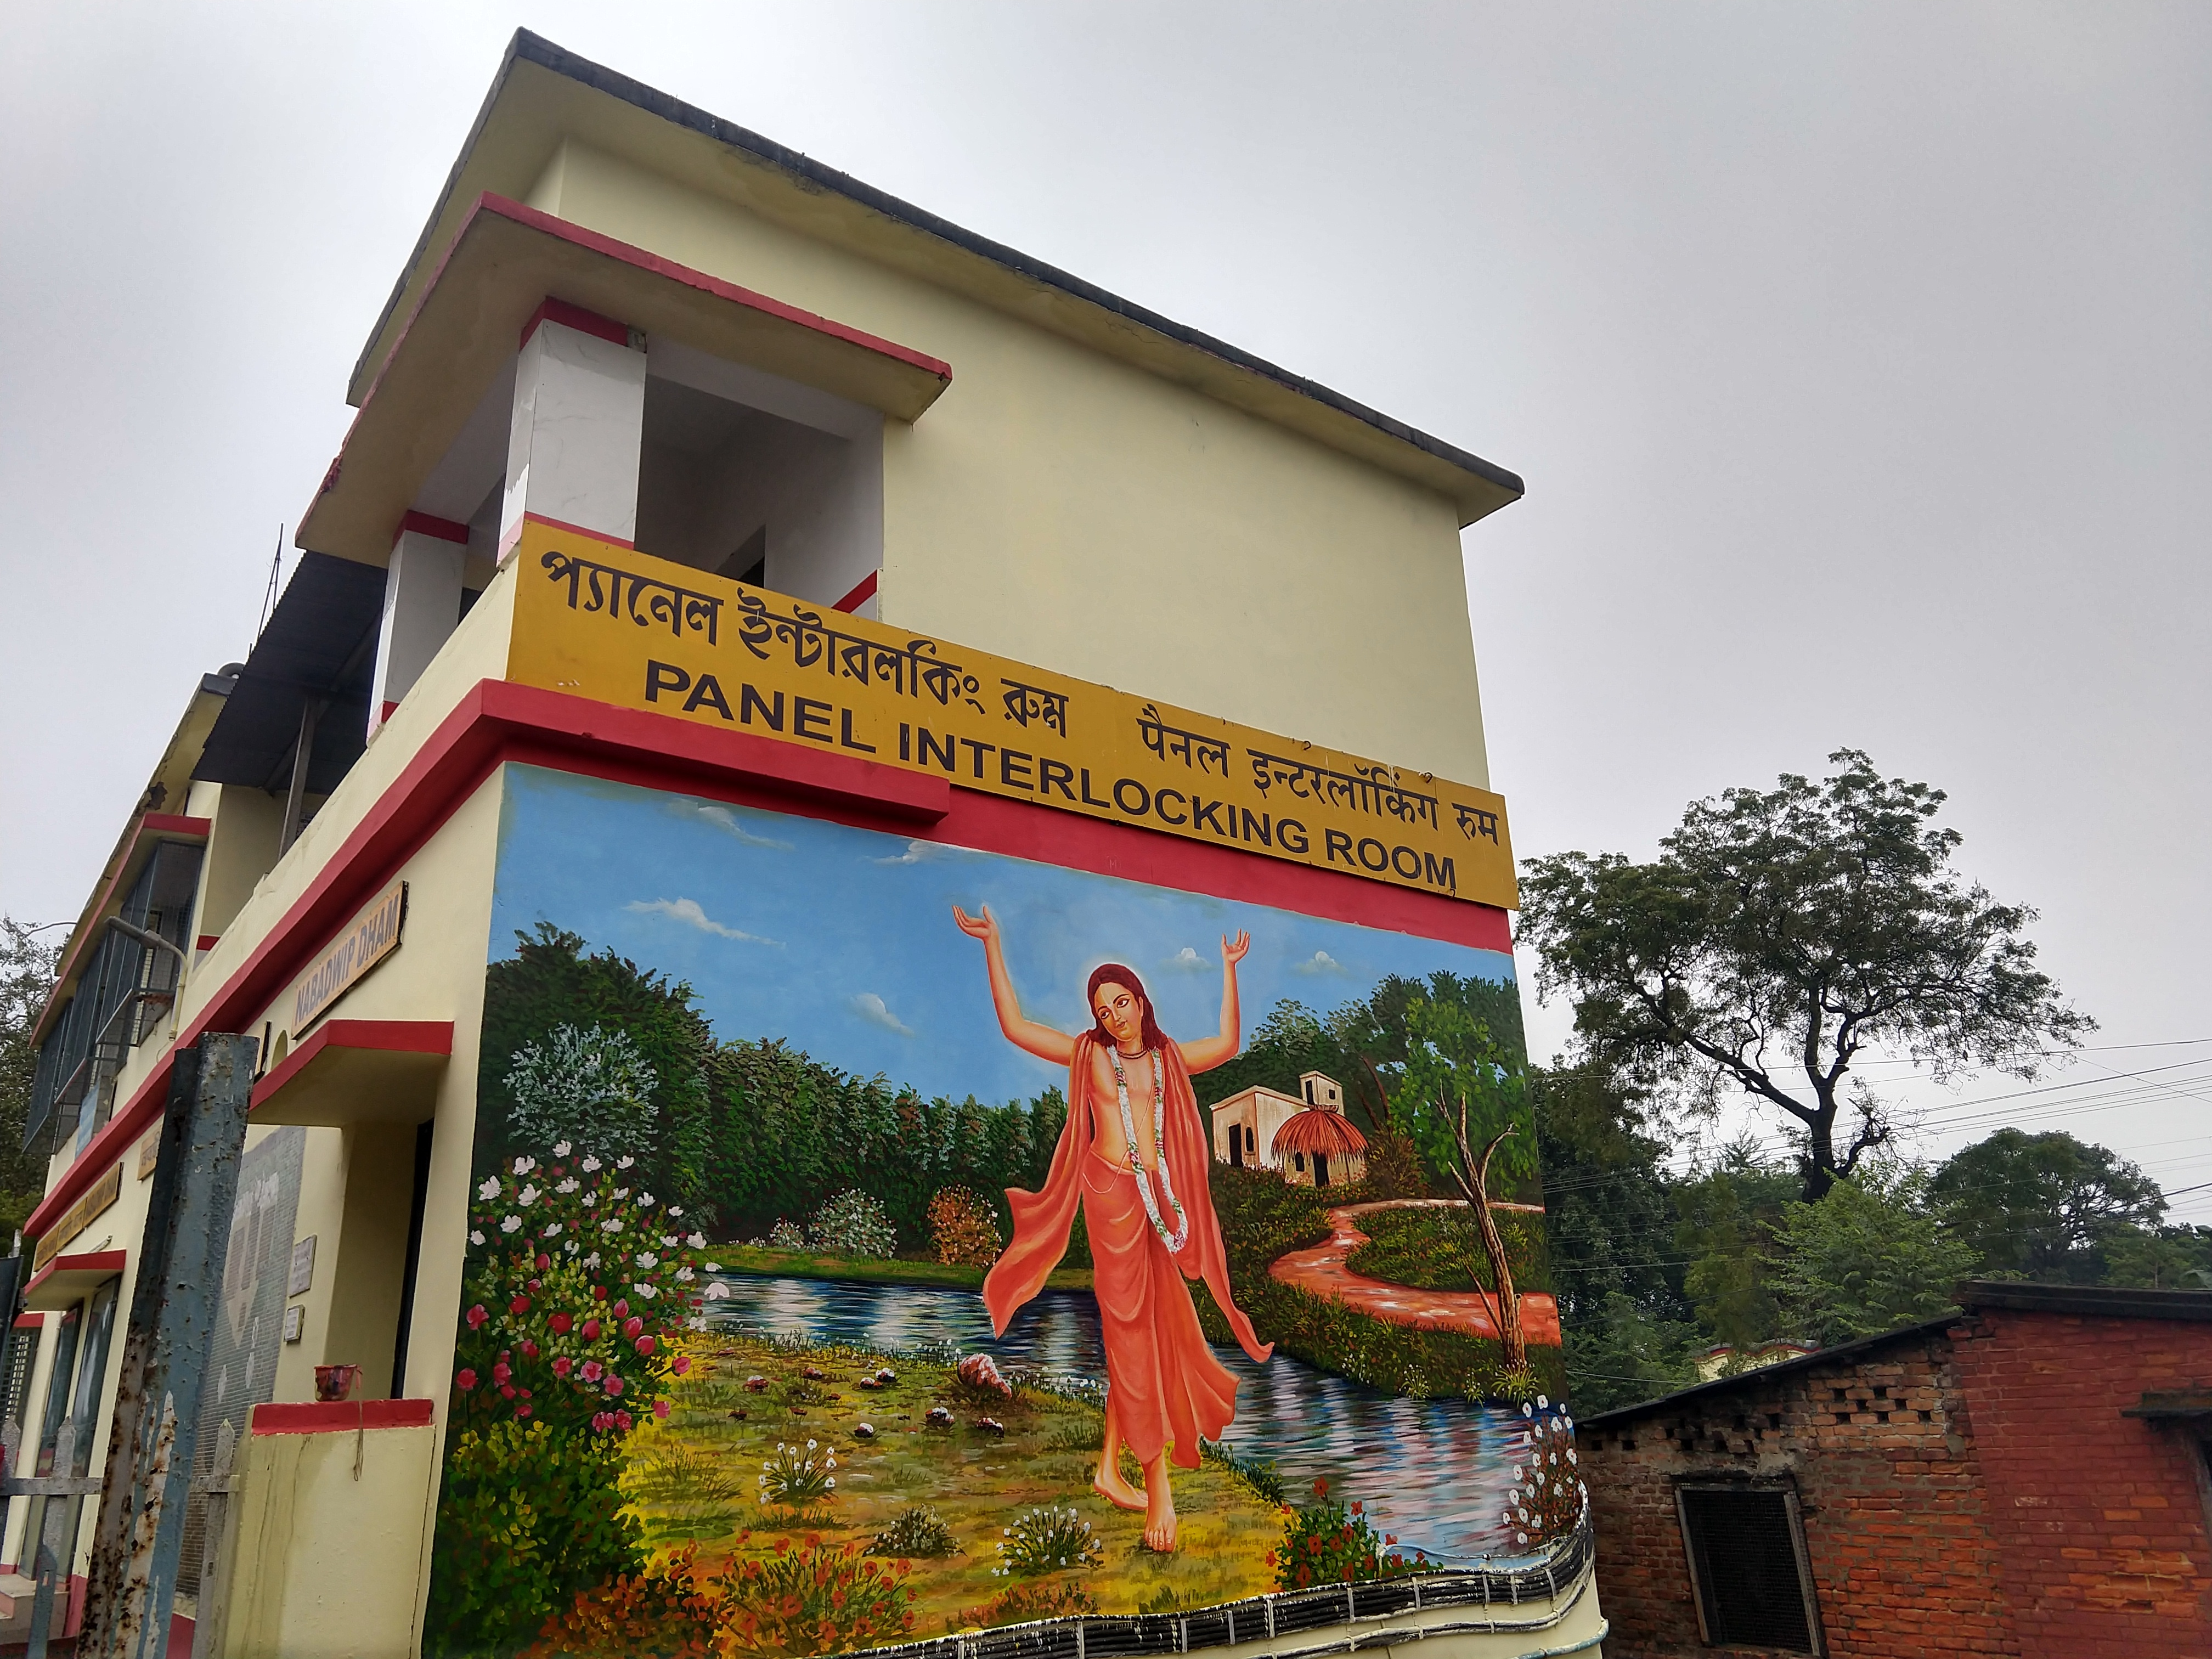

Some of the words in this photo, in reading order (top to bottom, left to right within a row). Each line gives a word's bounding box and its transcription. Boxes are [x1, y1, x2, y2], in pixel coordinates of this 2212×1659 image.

[540, 544, 733, 654] প্যানেল
[718, 574, 991, 725] ইন্টারলকিং
[634, 651, 881, 757] PANEL
[989, 663, 1077, 745] রুম
[1124, 691, 1233, 789] पैनल
[898, 715, 1314, 865] INTERLOCKING
[1246, 743, 1445, 838] इन्टरलॉकिंग
[1322, 824, 1462, 899] ROOM
[1449, 800, 1508, 851] रुम
[287, 925, 368, 1035] NABADWIP
[356, 887, 404, 978] DHAM